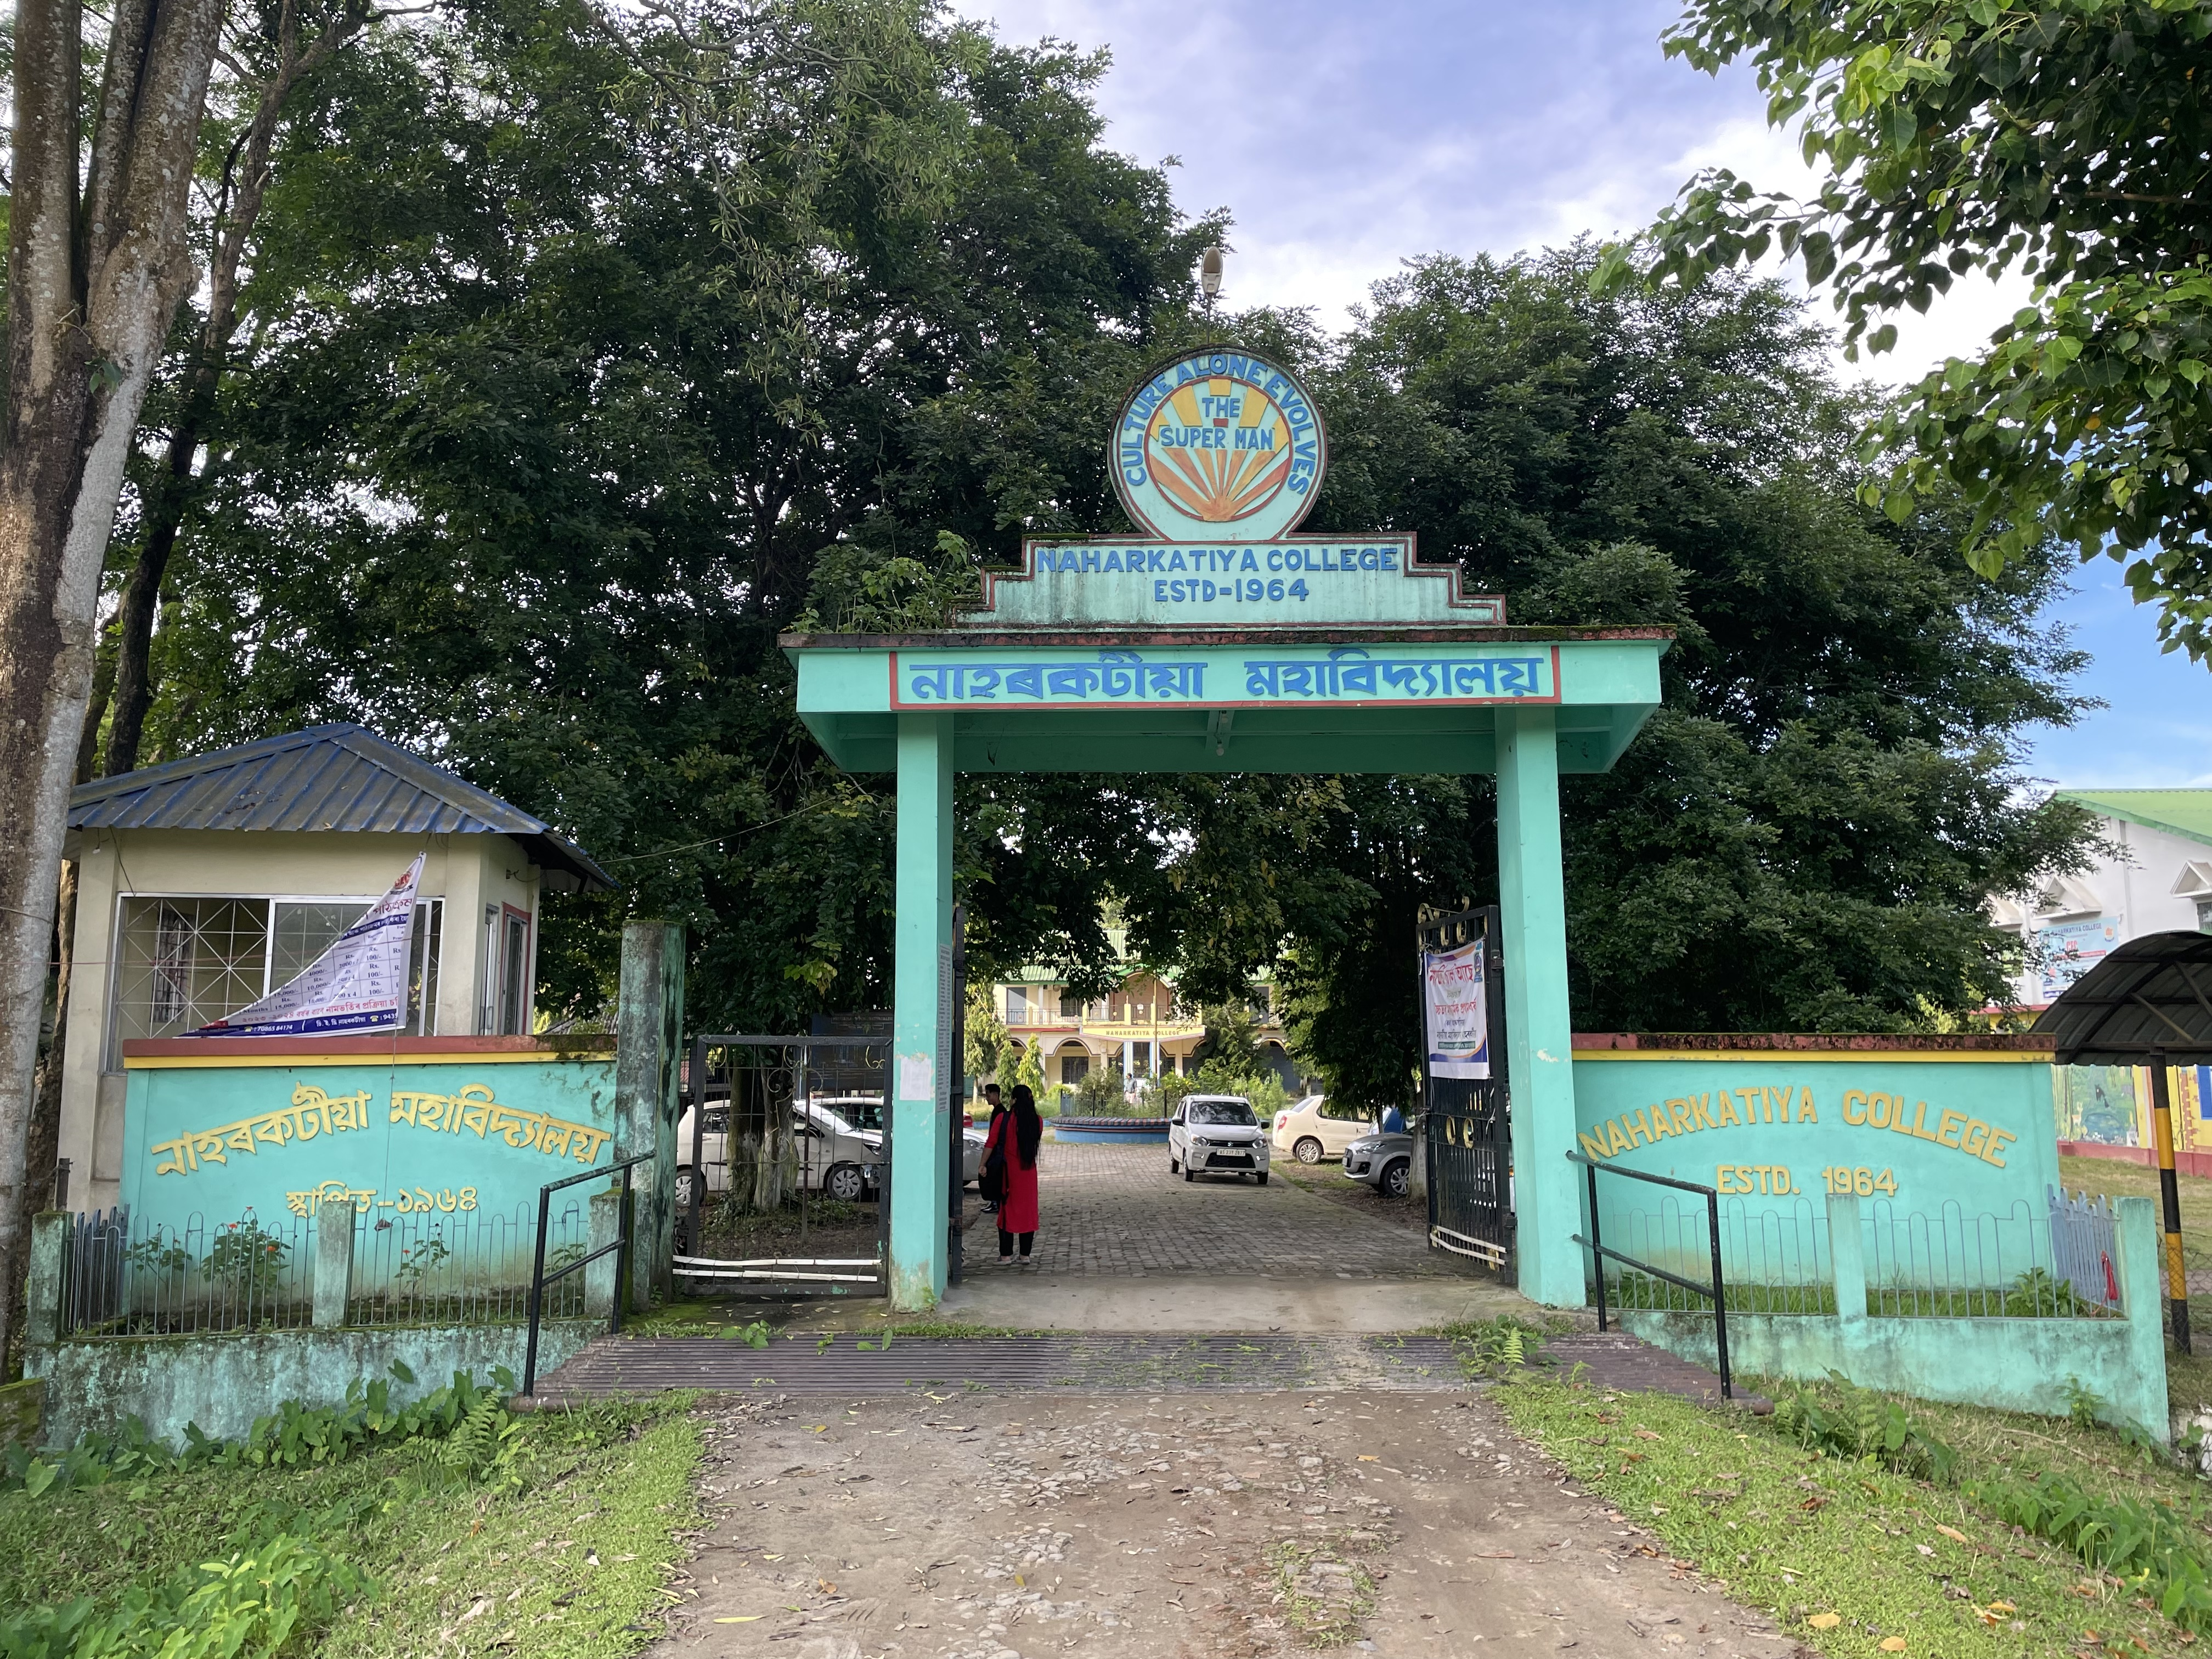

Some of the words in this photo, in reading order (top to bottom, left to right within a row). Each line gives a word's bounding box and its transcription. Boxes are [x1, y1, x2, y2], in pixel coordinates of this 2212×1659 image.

[1171, 342, 1279, 392] ALONE
[1113, 363, 1176, 493] CULTURE
[1155, 420, 1233, 455] SUPER
[1197, 388, 1244, 424] THE
[1231, 417, 1281, 456] MAN
[1258, 369, 1323, 498] EVOLVES
[1032, 542, 1267, 580] NAHARKATIYA
[1250, 543, 1403, 579] COLLEGE
[1141, 568, 1317, 607] ESTD-1964
[910, 639, 1213, 707] নাহৰকটীয়া
[1239, 639, 1548, 702] মহাবিদ্যালয়
[148, 1076, 379, 1182] নাহৰকটীয়া
[384, 1079, 616, 1167] মহাবিদ্যালয়
[1572, 1077, 1819, 1170] NAHARKATIYA
[1837, 1087, 2024, 1177] COLLEGE
[283, 1176, 380, 1224] স্থাপিত
[396, 1182, 482, 1217] ১৯৬৪
[1711, 1157, 1808, 1201] ESTD.
[1815, 1158, 1904, 1204] 1964